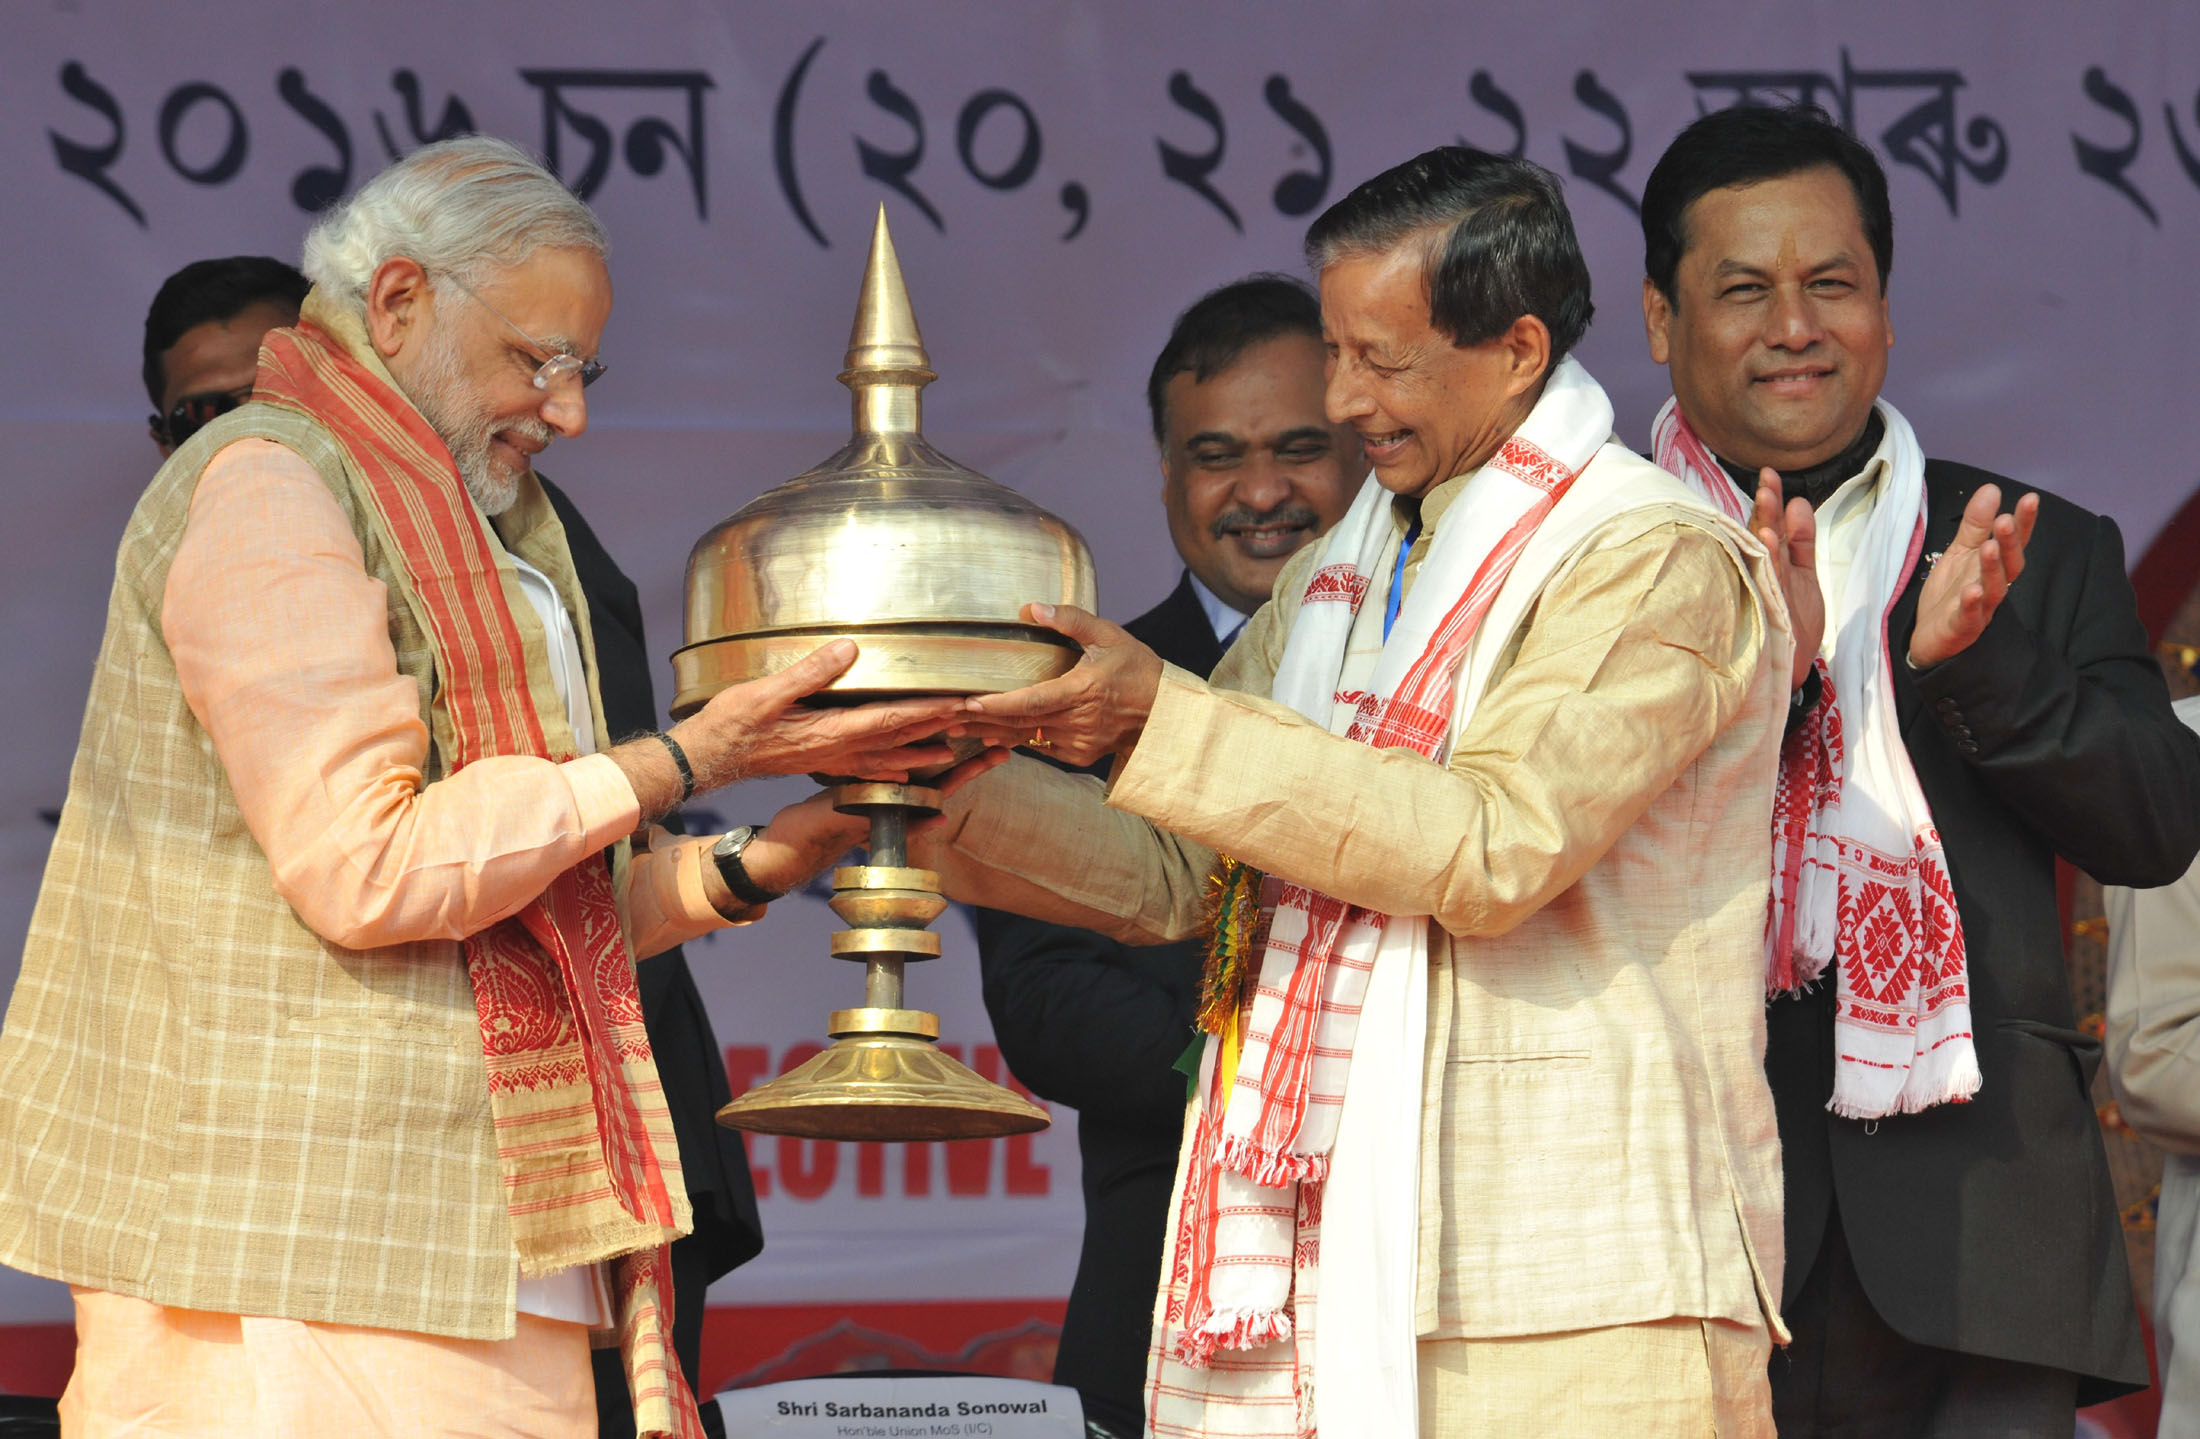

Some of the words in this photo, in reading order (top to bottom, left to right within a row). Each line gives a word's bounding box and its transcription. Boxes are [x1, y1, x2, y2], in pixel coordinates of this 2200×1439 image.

[17, 31, 481, 239] ২০১৬
[508, 53, 726, 235] চন
[758, 29, 1064, 260] (২০
[1144, 57, 1354, 248] ২১
[772, 1396, 821, 1421] Shri
[821, 1395, 956, 1423] Sarbananda
[957, 1398, 1048, 1419] Sonowal
[834, 1415, 892, 1437] Hon
[887, 1415, 932, 1438] Union
[925, 1415, 964, 1437] MoS
[959, 1415, 996, 1438] (I/C)